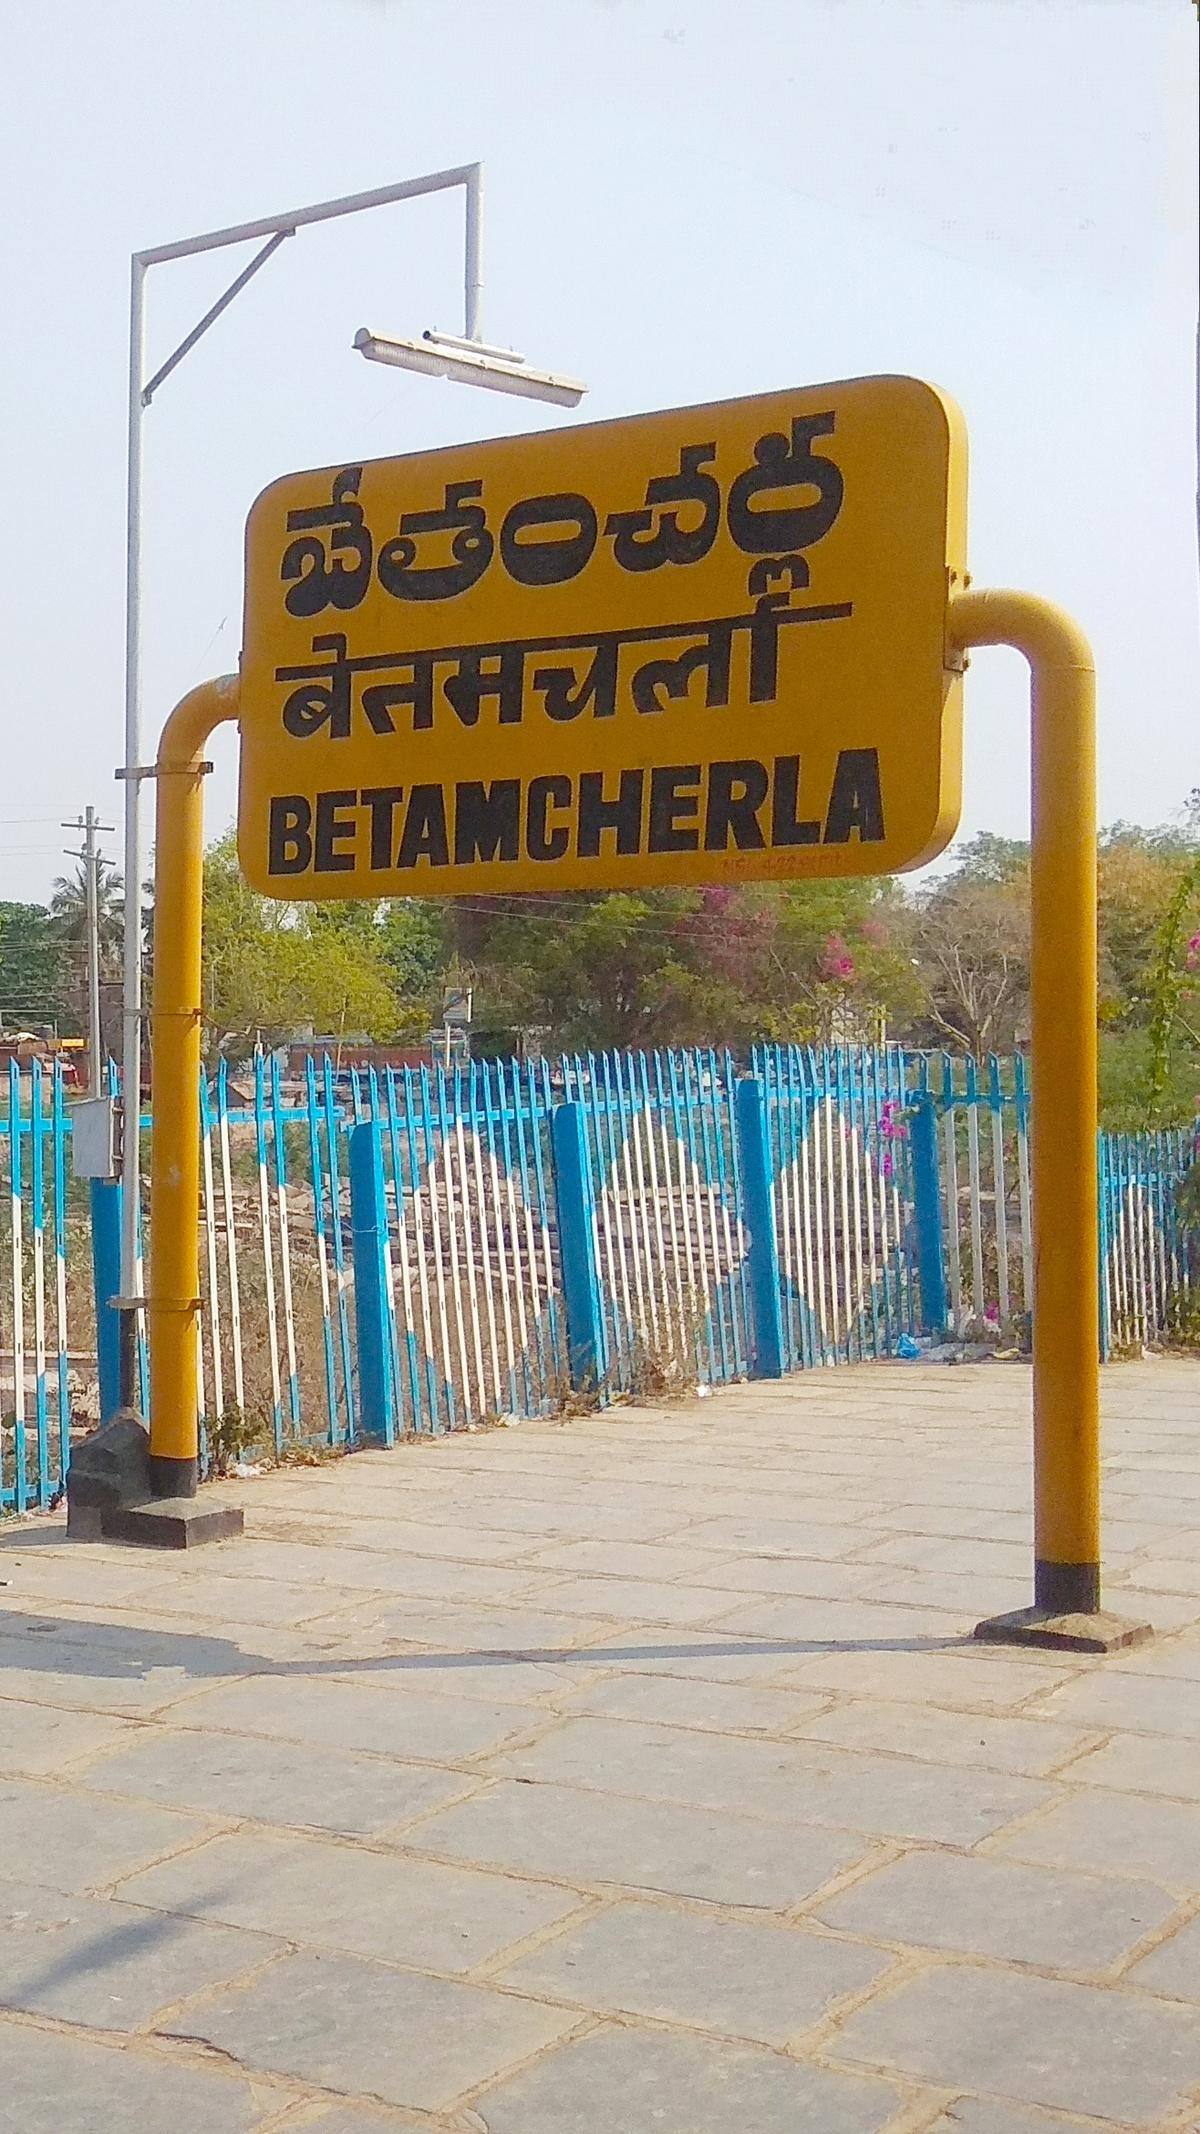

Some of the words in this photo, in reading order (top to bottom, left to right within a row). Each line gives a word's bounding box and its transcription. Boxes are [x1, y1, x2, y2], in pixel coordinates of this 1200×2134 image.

[271, 402, 852, 627] బేతంచర్ల
[266, 548, 857, 751] बेतमचर्ला
[260, 742, 892, 884] BETAMCHERLA